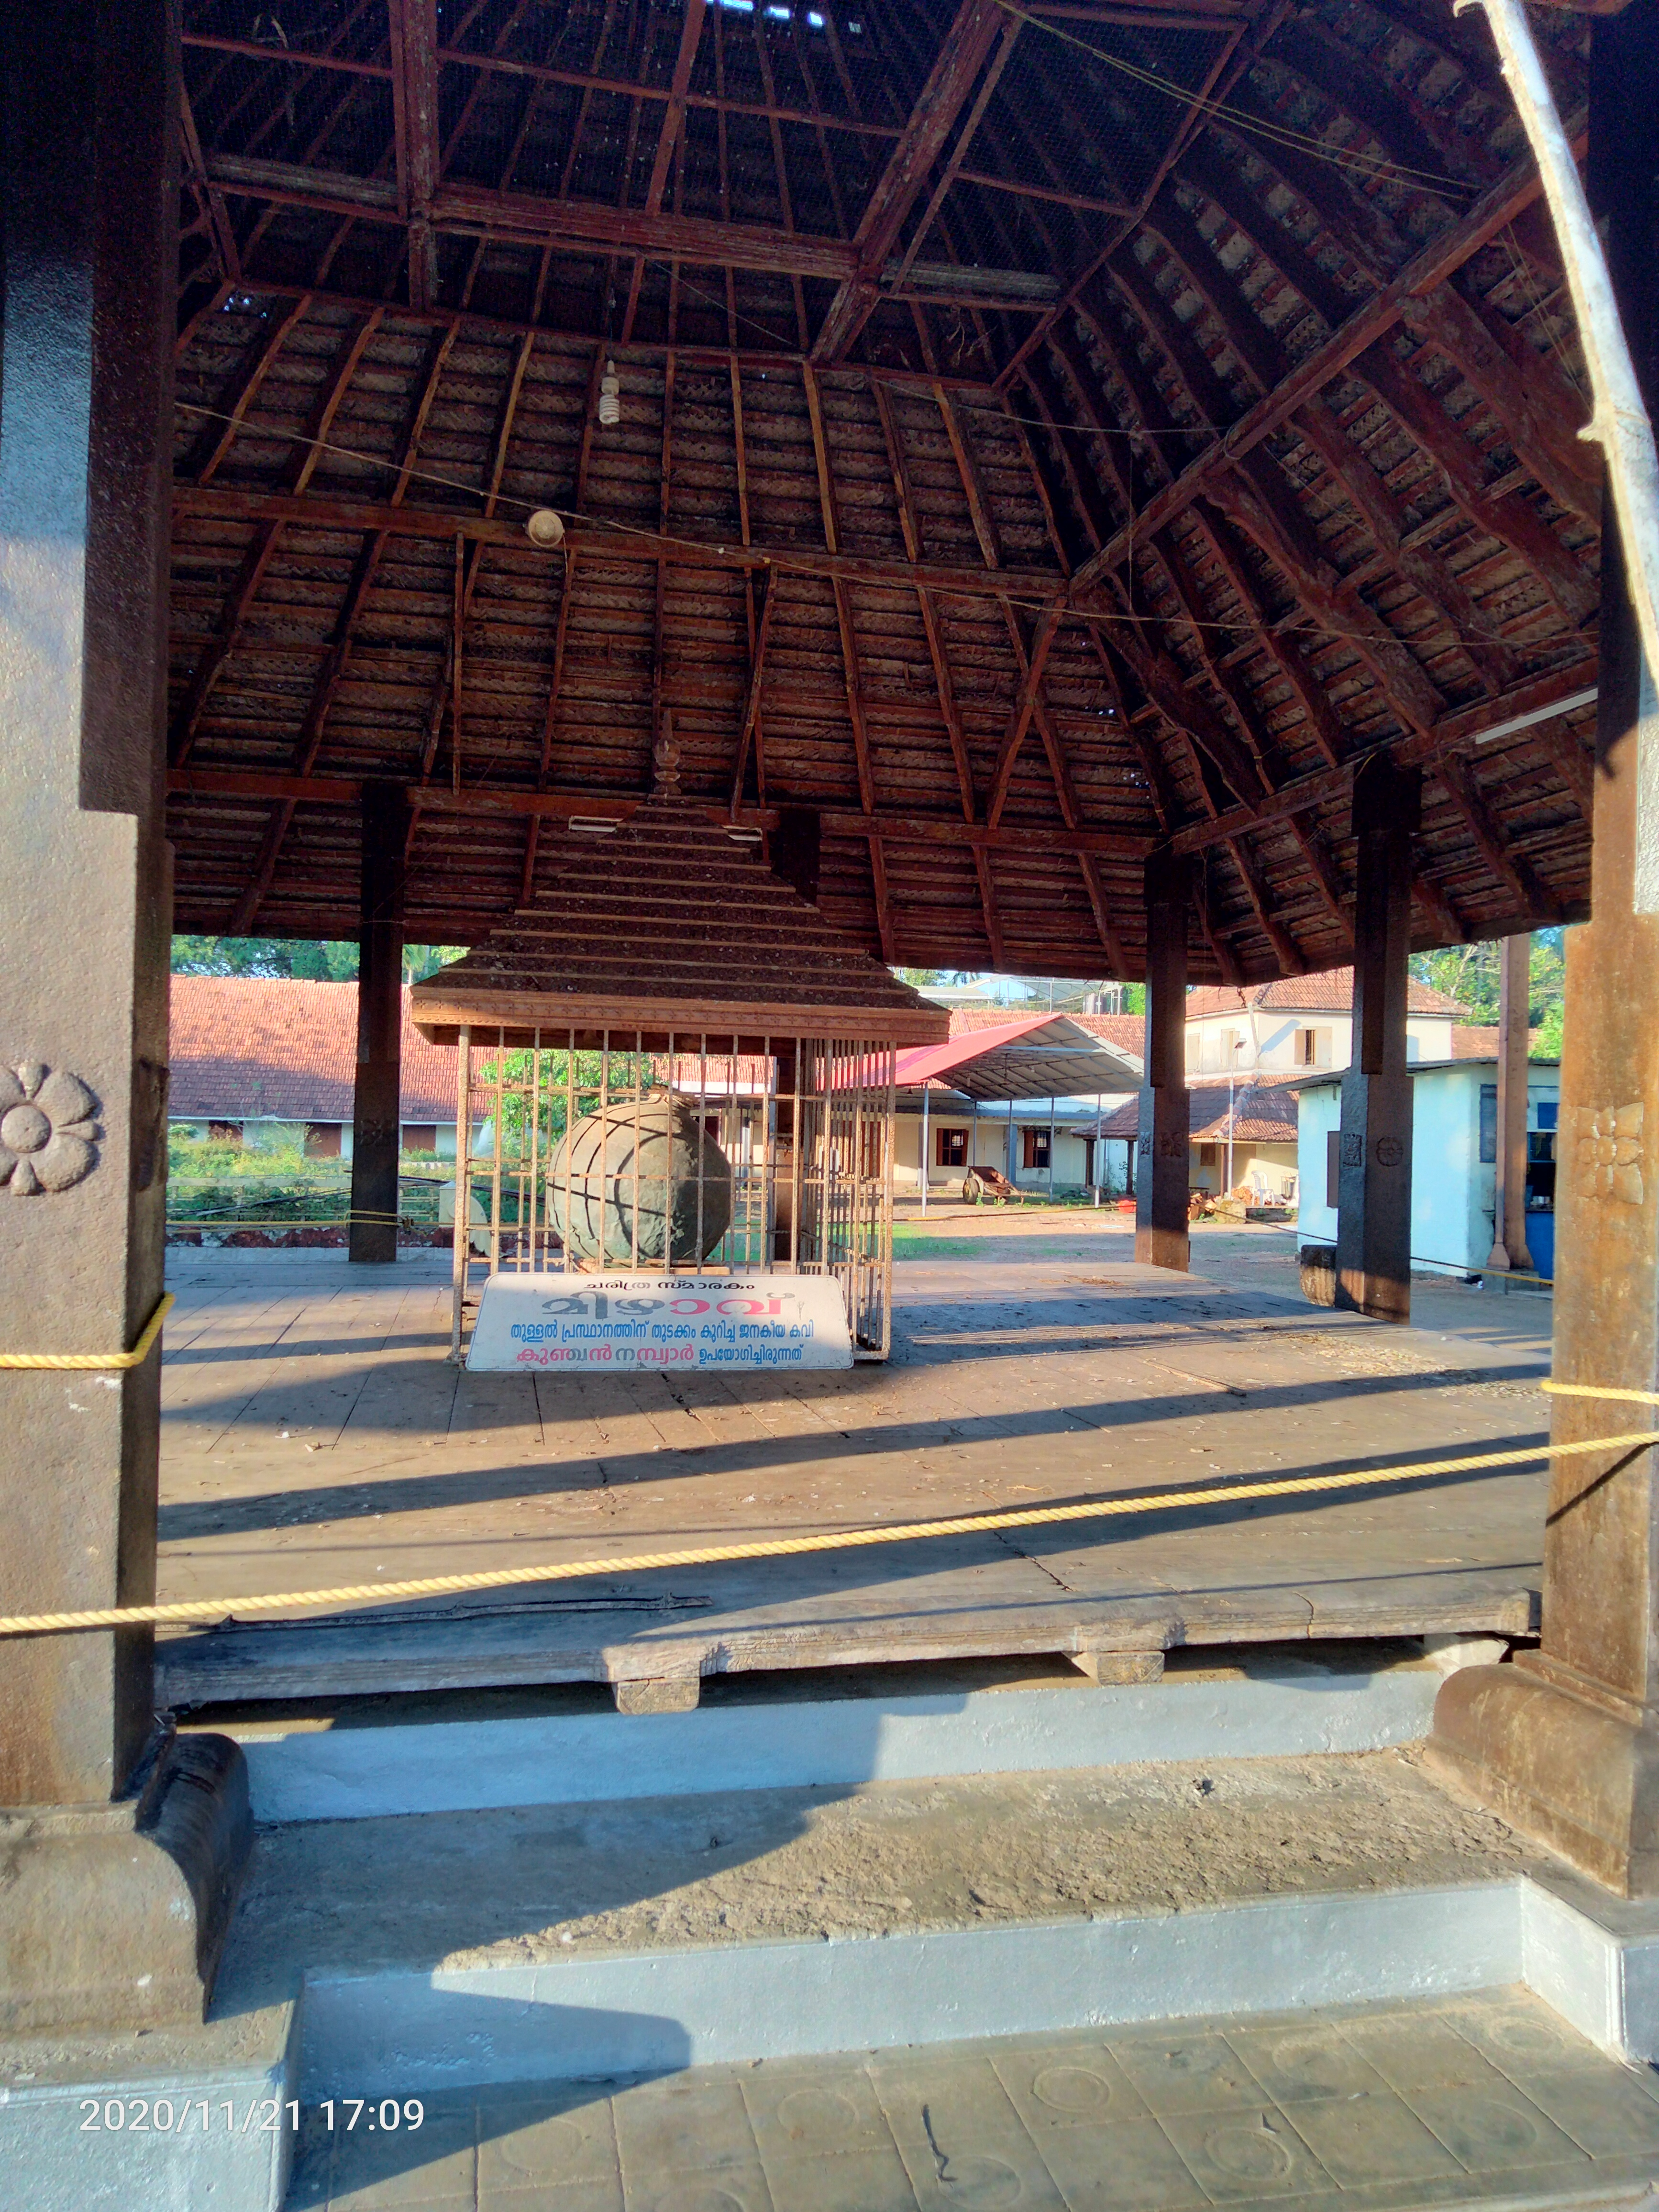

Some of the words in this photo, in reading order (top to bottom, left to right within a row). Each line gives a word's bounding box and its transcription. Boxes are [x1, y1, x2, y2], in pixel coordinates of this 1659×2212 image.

[585, 1276, 653, 1292] ചരിത്ര
[656, 1274, 757, 1292] സ്മാരകം
[540, 1287, 801, 1322] മിഴാവ്
[509, 1317, 562, 1344] തുള്ളൽ
[560, 1316, 653, 1346] പ്രസ്ഥാനത്തിന്
[650, 1322, 699, 1344] തുടക്കം
[696, 1316, 738, 1345] കുറിച്ച
[737, 1317, 787, 1341] ജനകീയ
[786, 1317, 816, 1340] കവി
[514, 1342, 617, 1367] കുഞ്ചൻ
[614, 1339, 696, 1365] നമ്പ്യാർ
[697, 1340, 806, 1367] ഉപയോഗിച്ചിരുന്നത്
[77, 2093, 301, 2133] 2020/11/21
[315, 2099, 426, 2134] 17:09